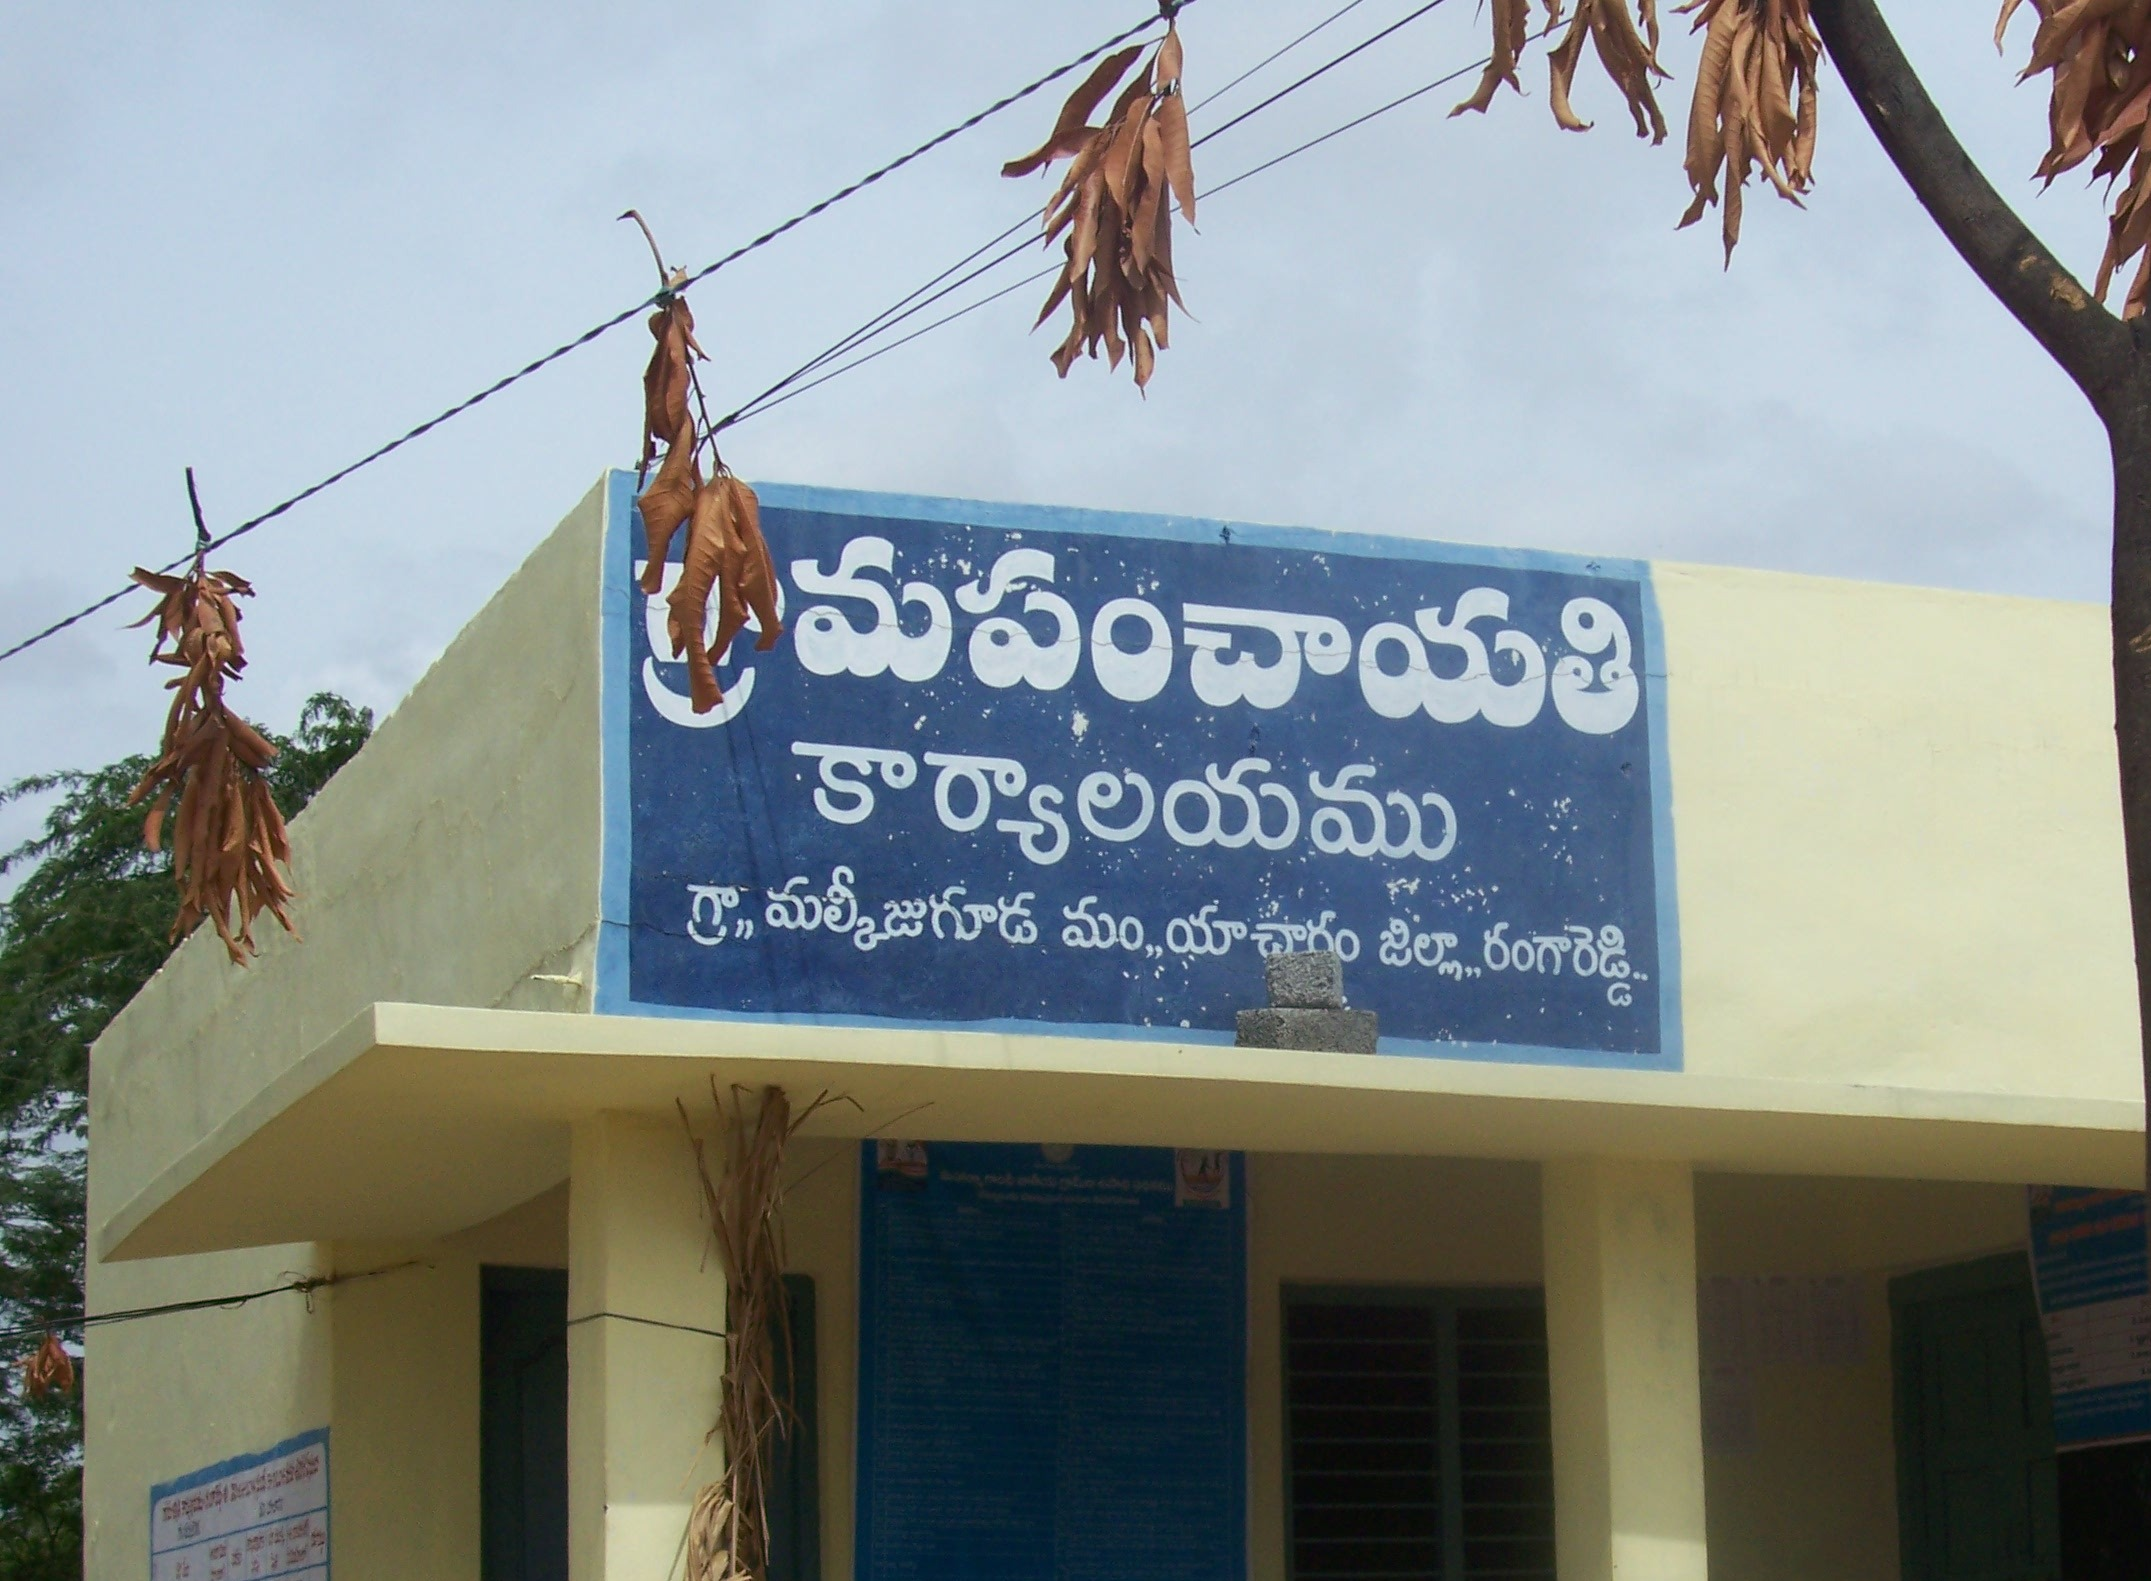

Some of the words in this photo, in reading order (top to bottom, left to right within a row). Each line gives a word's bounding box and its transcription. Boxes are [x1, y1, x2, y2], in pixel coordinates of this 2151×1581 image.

[635, 526, 1646, 741] గ్రామపంచాయతి
[785, 737, 1467, 872] కార్యాలయము
[665, 875, 762, 953] గ్రా,,
[758, 858, 1044, 960] మల్కీజుగూడ
[1052, 884, 1151, 960] మం,
[1155, 888, 1366, 970] యాచారం
[1358, 908, 1487, 986] జిల్ల,,
[1477, 905, 1645, 1009] రంగారెడ్డ